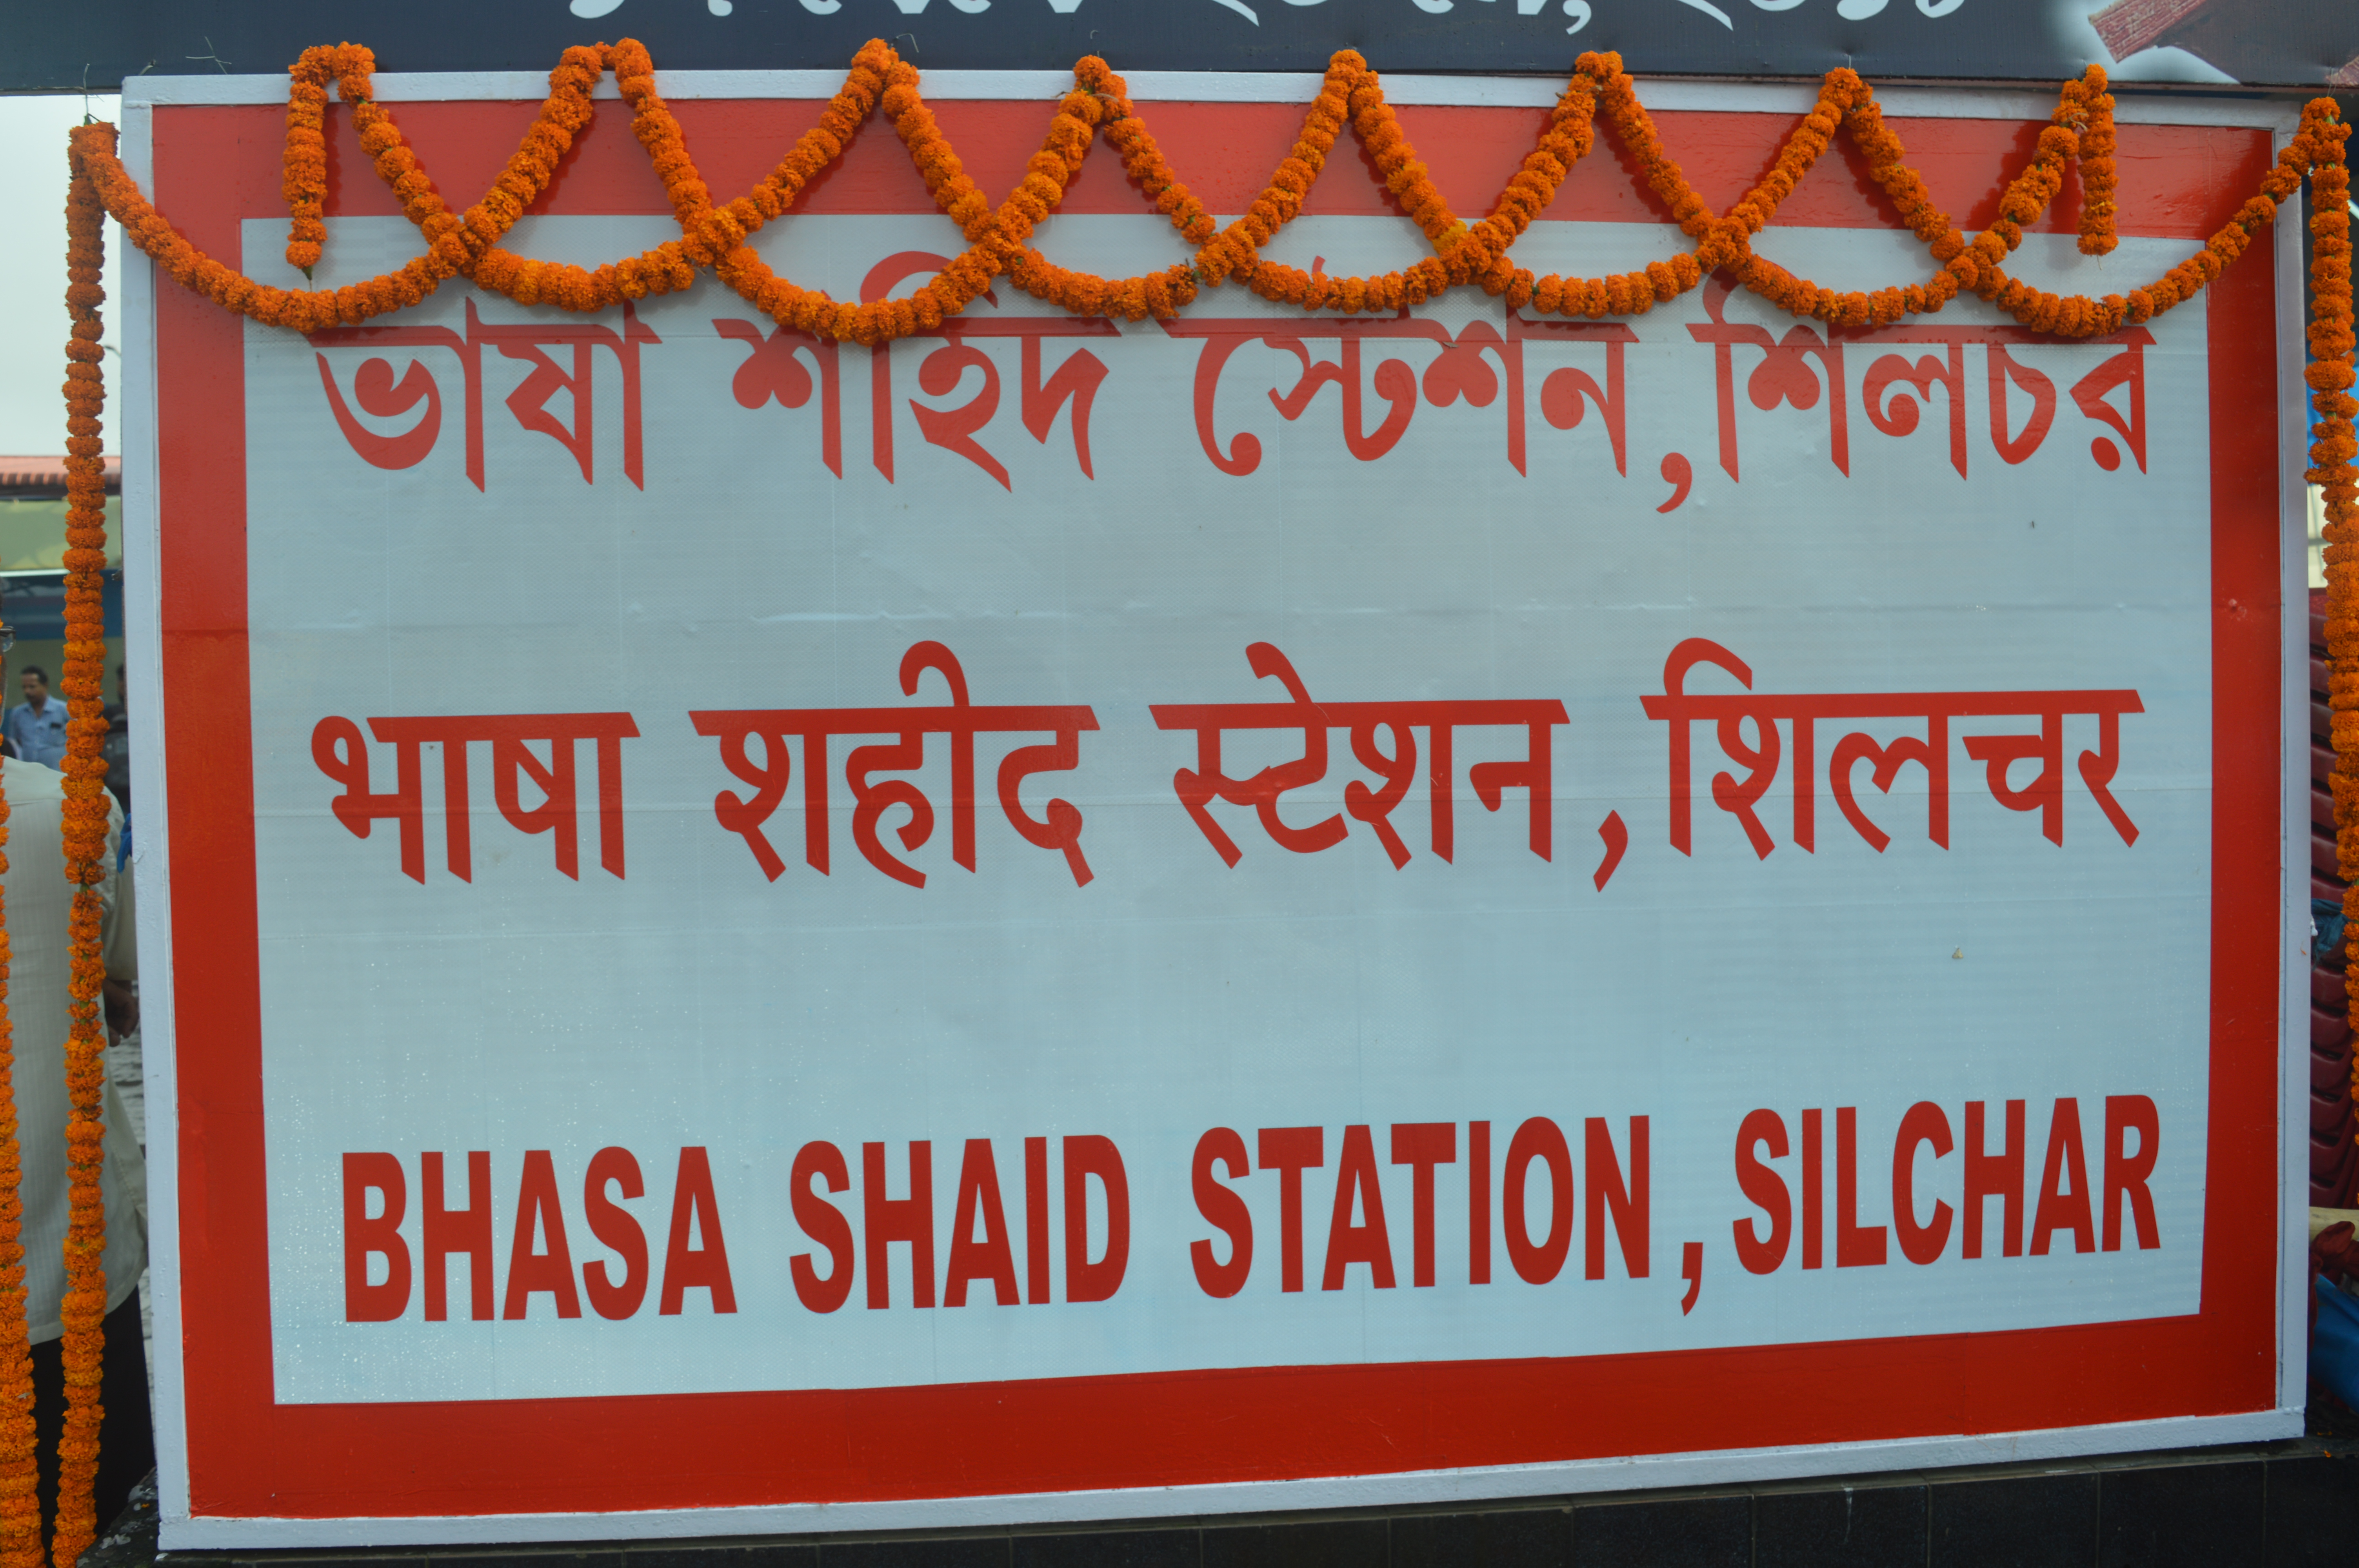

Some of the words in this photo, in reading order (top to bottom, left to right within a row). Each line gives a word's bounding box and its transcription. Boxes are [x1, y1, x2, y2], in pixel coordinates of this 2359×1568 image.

[293, 287, 667, 499] ভাষা
[703, 241, 1129, 495] শহিদ
[1156, 292, 1649, 481] স্টেশন
[1677, 248, 2159, 488] শিলচর
[303, 699, 657, 903] भाषा
[684, 631, 1101, 892] शहीद
[1144, 630, 1572, 874] स्टेशन
[1634, 628, 2150, 866] शिलचर
[339, 1139, 743, 1325] BHASA
[771, 1118, 1141, 1332] SHAID
[1183, 1110, 1656, 1304] STATION
[1726, 1092, 2164, 1279] SILCHAR